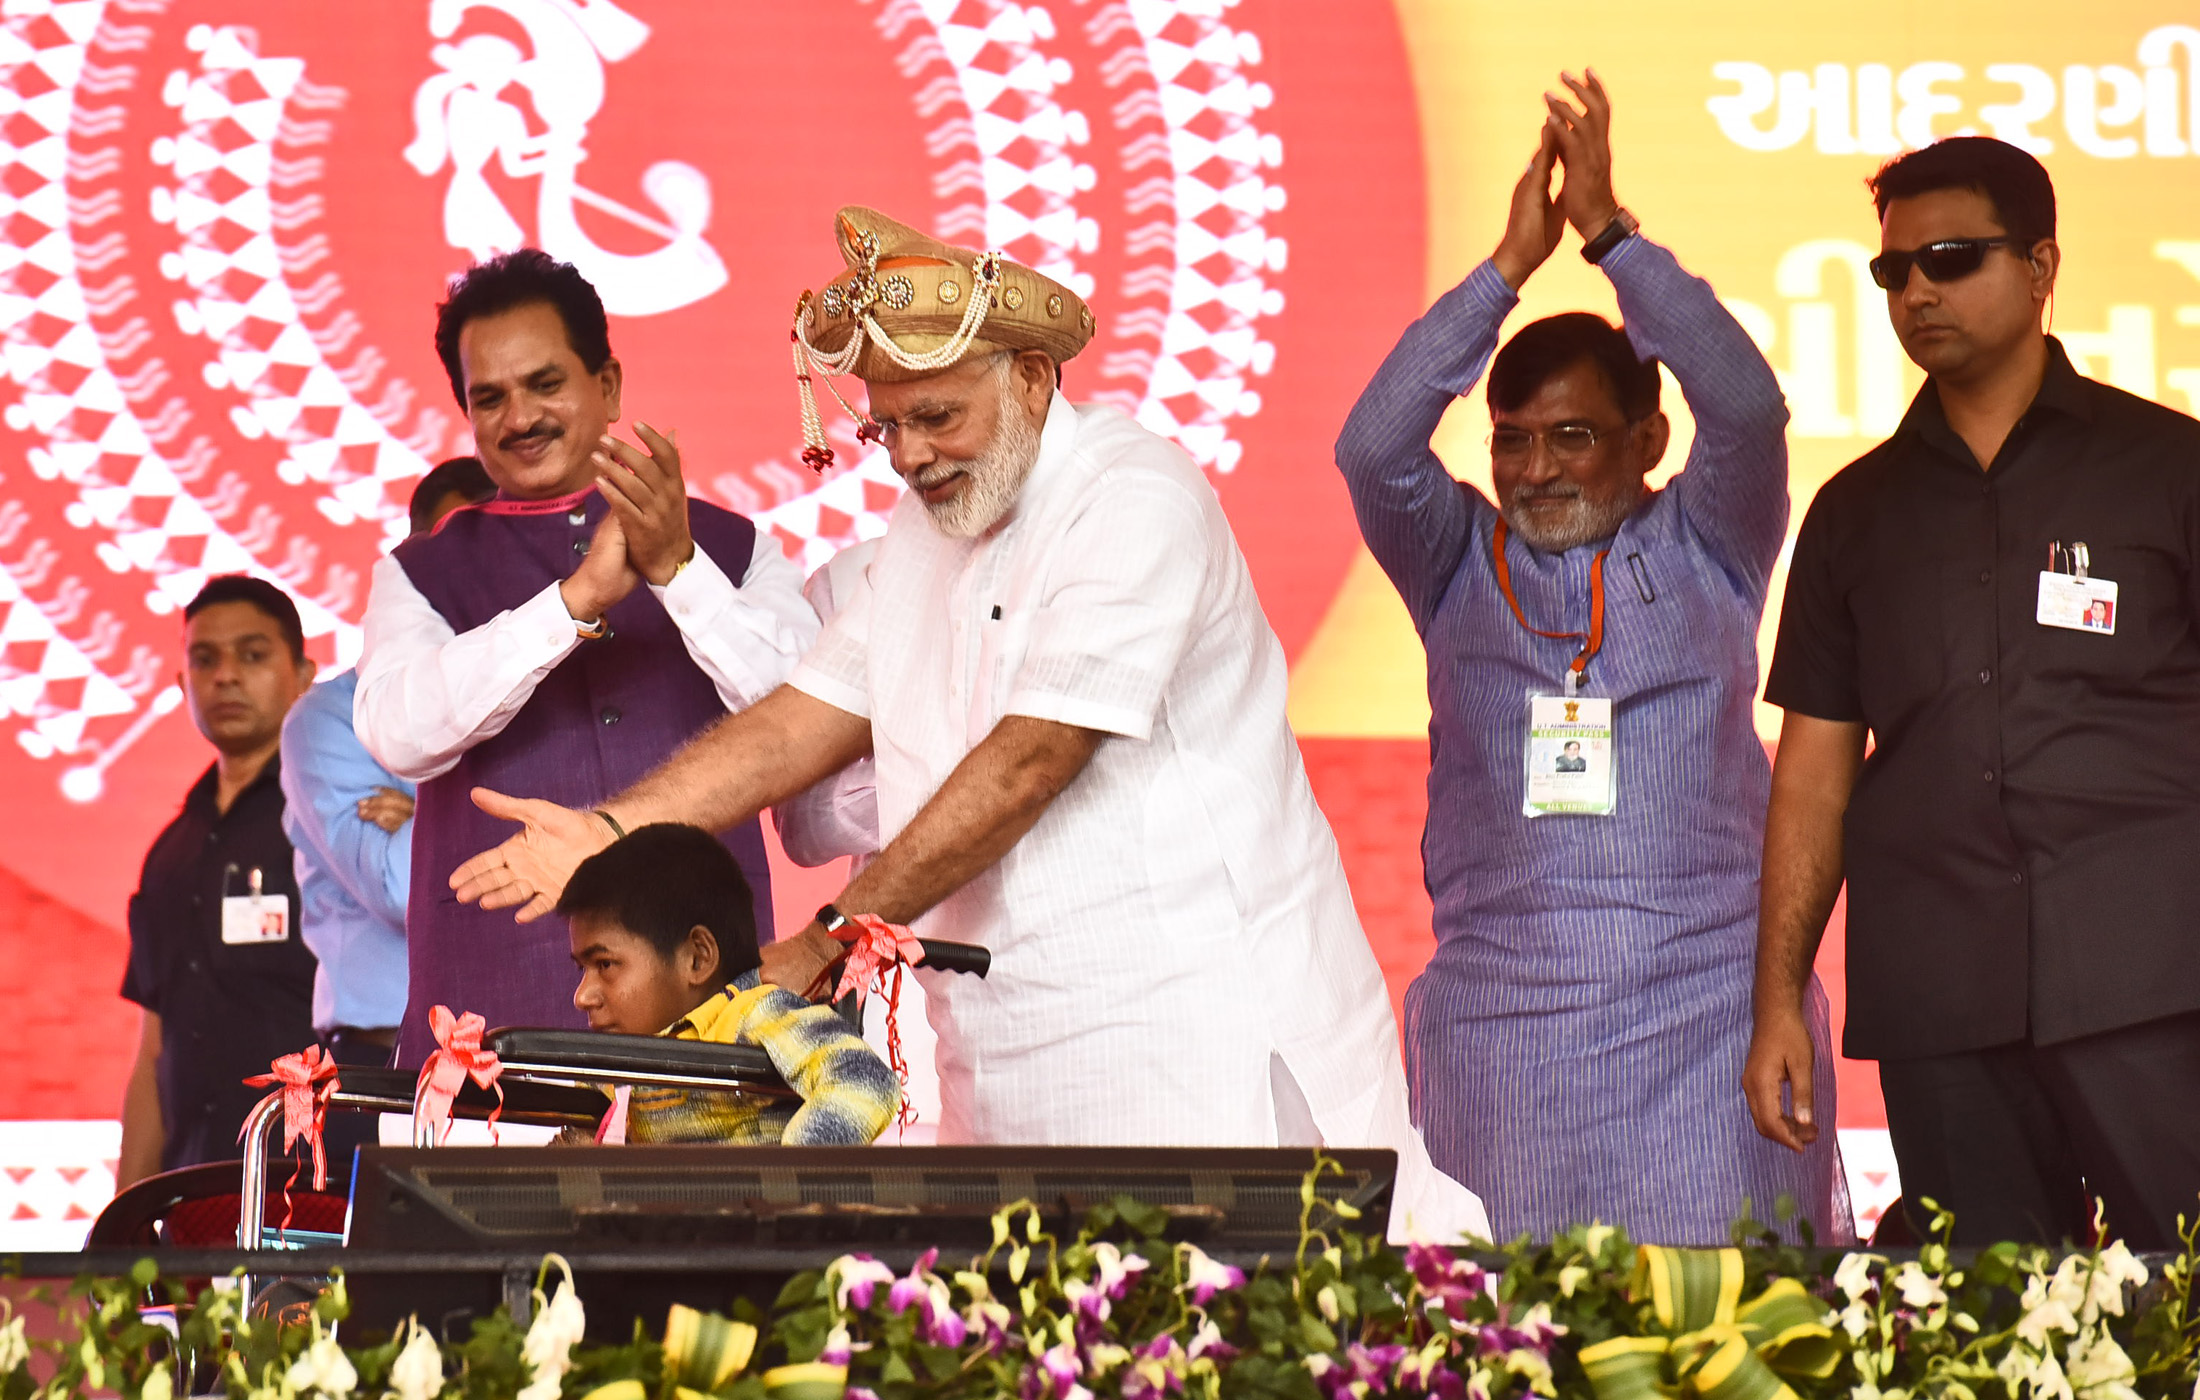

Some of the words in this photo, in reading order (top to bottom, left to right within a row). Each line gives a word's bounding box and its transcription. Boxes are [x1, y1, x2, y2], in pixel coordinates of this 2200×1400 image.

[1689, 15, 2200, 171] આદરણી